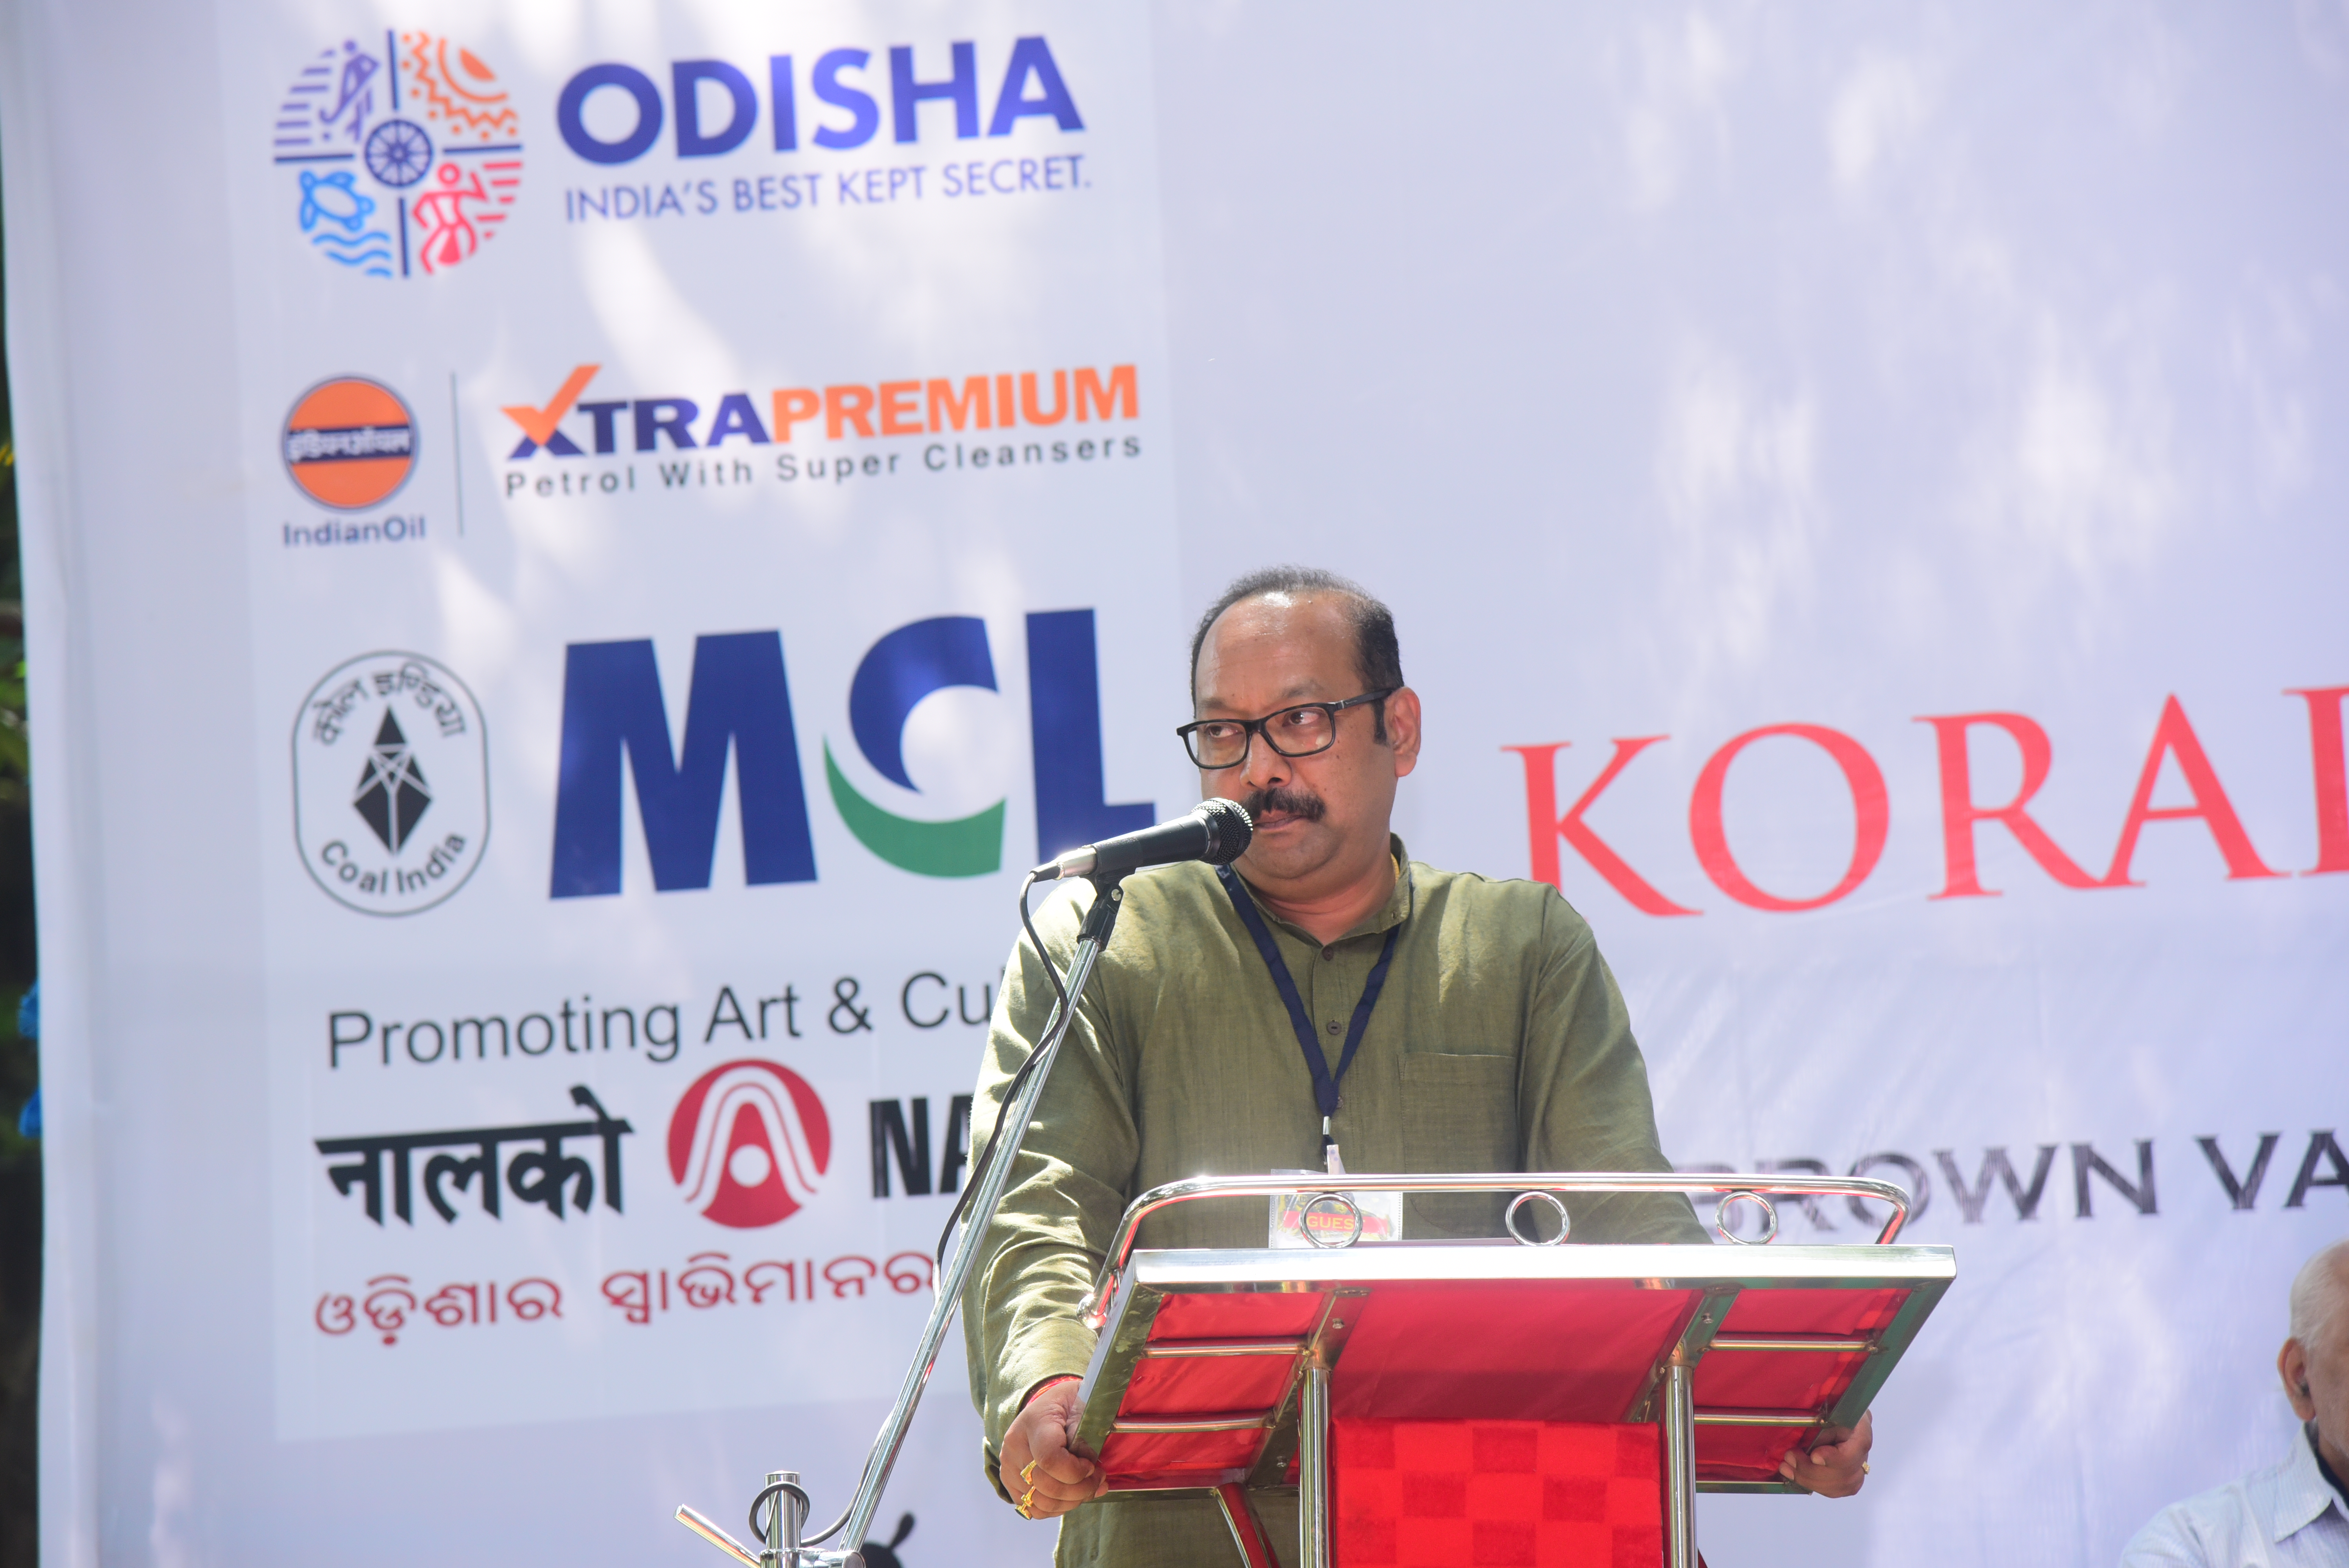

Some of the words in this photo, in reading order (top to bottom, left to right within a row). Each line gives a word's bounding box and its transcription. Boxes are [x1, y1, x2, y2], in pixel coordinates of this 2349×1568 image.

[549, 33, 1093, 168] ODISHA
[557, 168, 723, 225] INDIA
[724, 164, 826, 221] BEST
[831, 158, 929, 209] KEPT
[937, 147, 1089, 202] SECRET
[285, 416, 415, 463] इंडियनऑयल
[499, 459, 640, 501] Petrol
[654, 452, 757, 492] With
[502, 354, 1143, 464] XTRAPREMIUM
[770, 447, 904, 486] Super
[921, 431, 1143, 476] Cleansers
[280, 509, 434, 554] IndianOil
[308, 673, 367, 746] कोल
[367, 654, 465, 743] इण्डिया
[542, 604, 1160, 901] MCL
[1499, 679, 2344, 933] KORAI
[317, 835, 394, 897] Coal
[388, 827, 468, 899] India
[323, 991, 685, 1074] Promoting
[700, 976, 824, 1055] Art
[815, 972, 874, 1042] &
[312, 1081, 639, 1229] नालको
[2194, 1125, 2349, 1225] VA
[310, 1269, 564, 1351] ଓଡ଼ିଶାର
[592, 1247, 938, 1332] ସ୍ଵାଭିମାନର